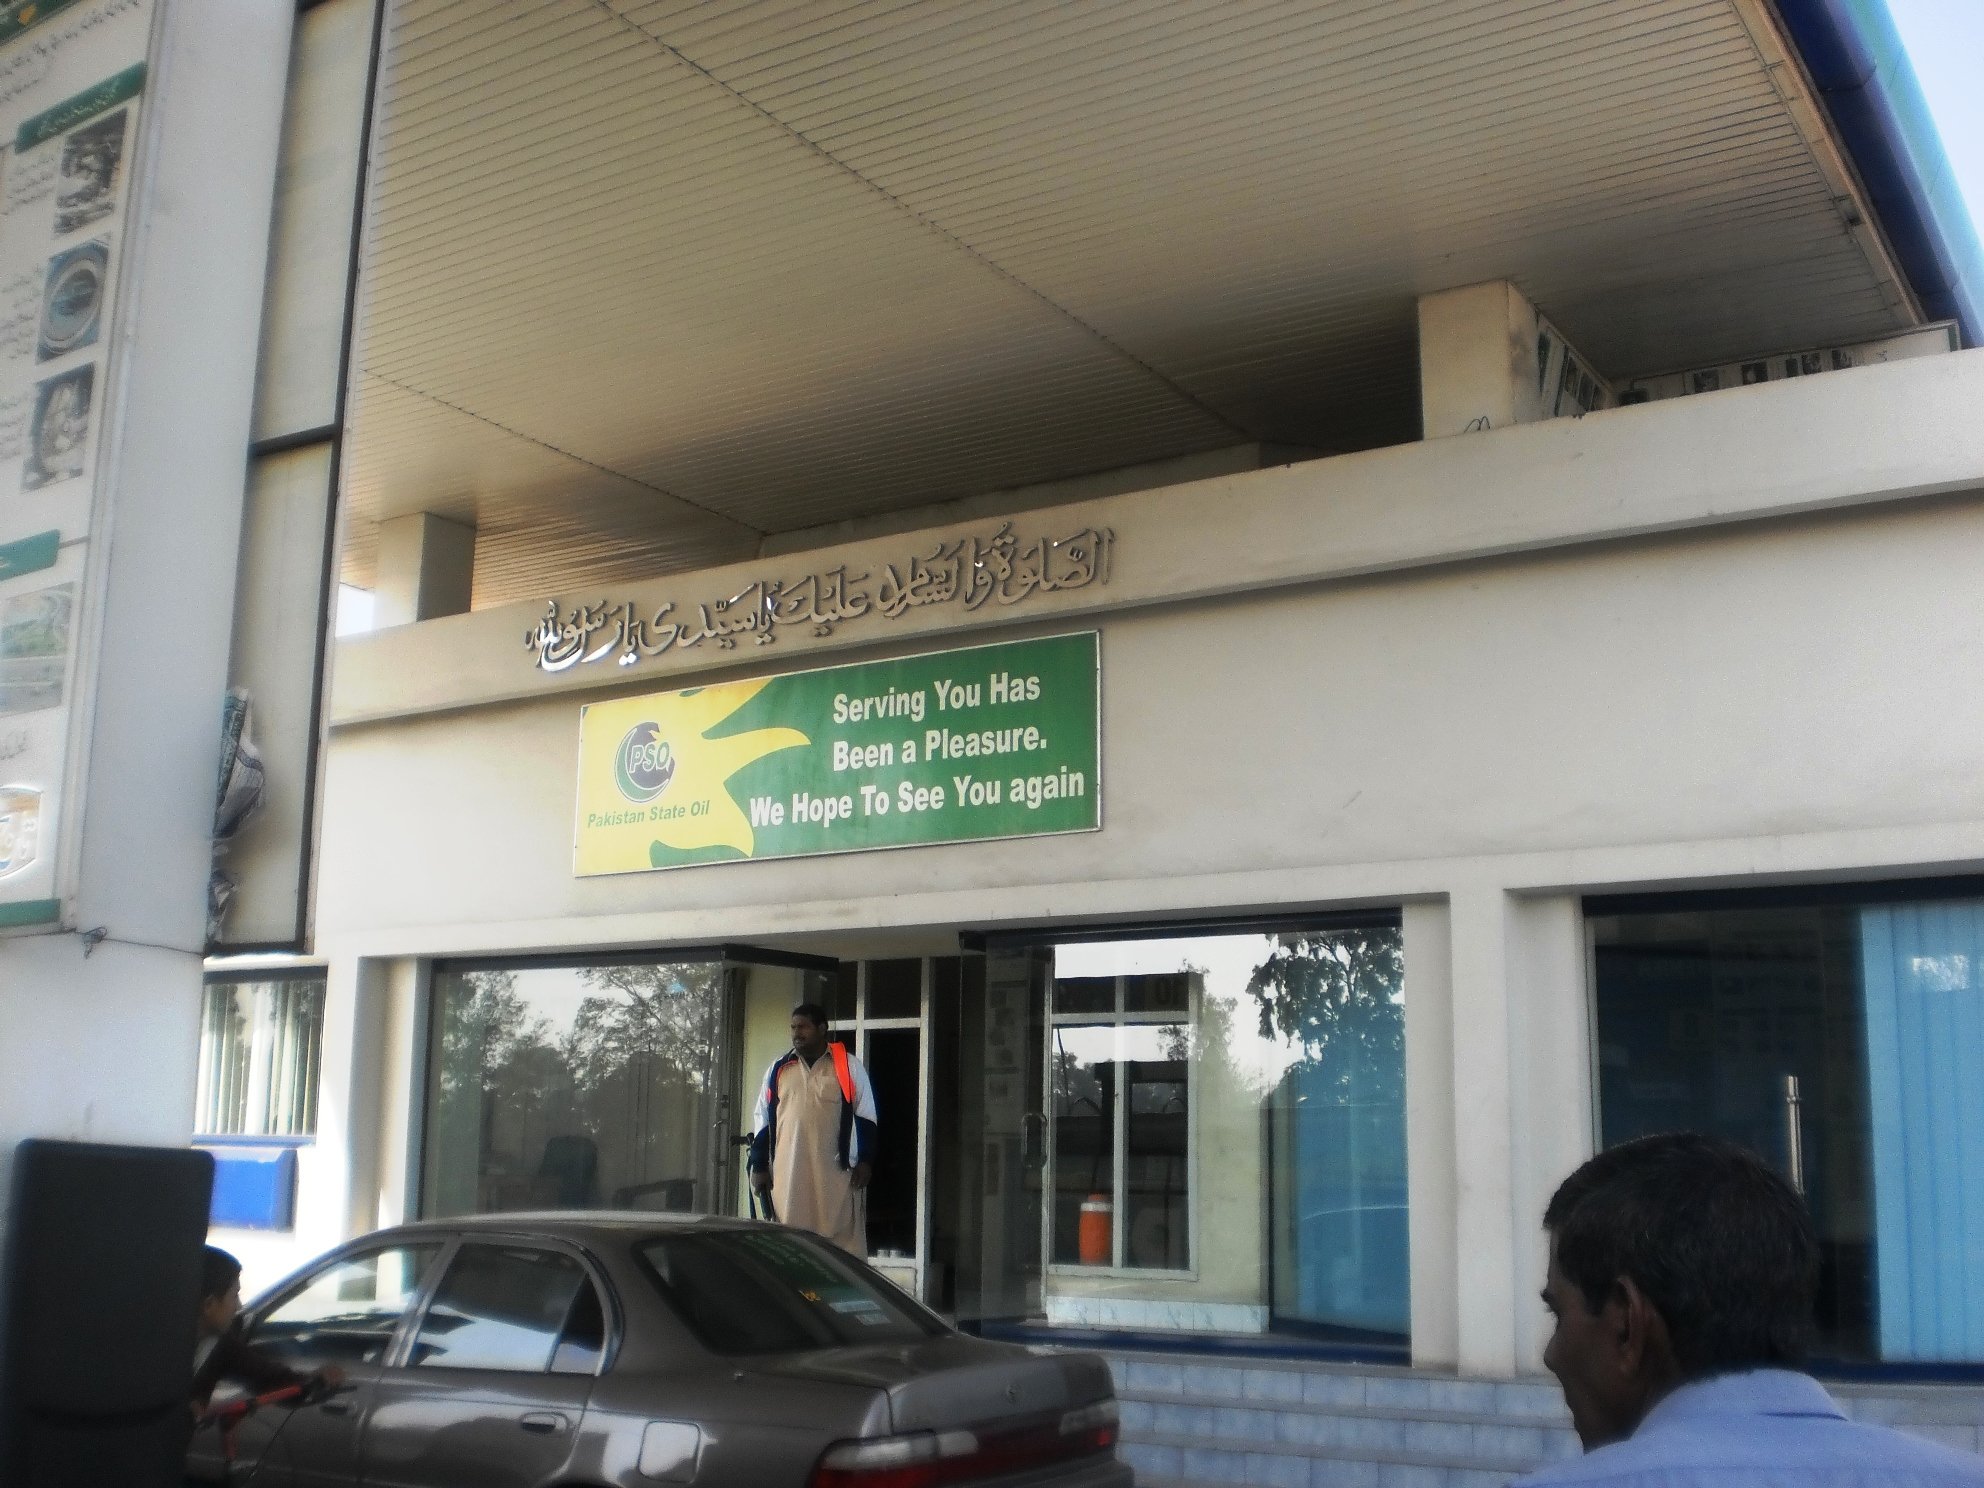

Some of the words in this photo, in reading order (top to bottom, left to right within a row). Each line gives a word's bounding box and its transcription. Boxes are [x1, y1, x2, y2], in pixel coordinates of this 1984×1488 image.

[825, 681, 936, 732] Serving
[926, 672, 987, 718] You
[984, 667, 1049, 709] Has
[626, 737, 677, 777] PSO
[826, 735, 896, 775] Been
[896, 731, 920, 768] a
[919, 718, 1054, 766] Pleasure.
[583, 804, 647, 832] Pakistan
[647, 797, 689, 823] State
[689, 793, 714, 819] Oil
[743, 791, 790, 834] We
[787, 782, 858, 834] Hope
[856, 781, 896, 820] To
[894, 770, 951, 817] See
[946, 769, 1007, 809] You
[1006, 762, 1090, 814] again